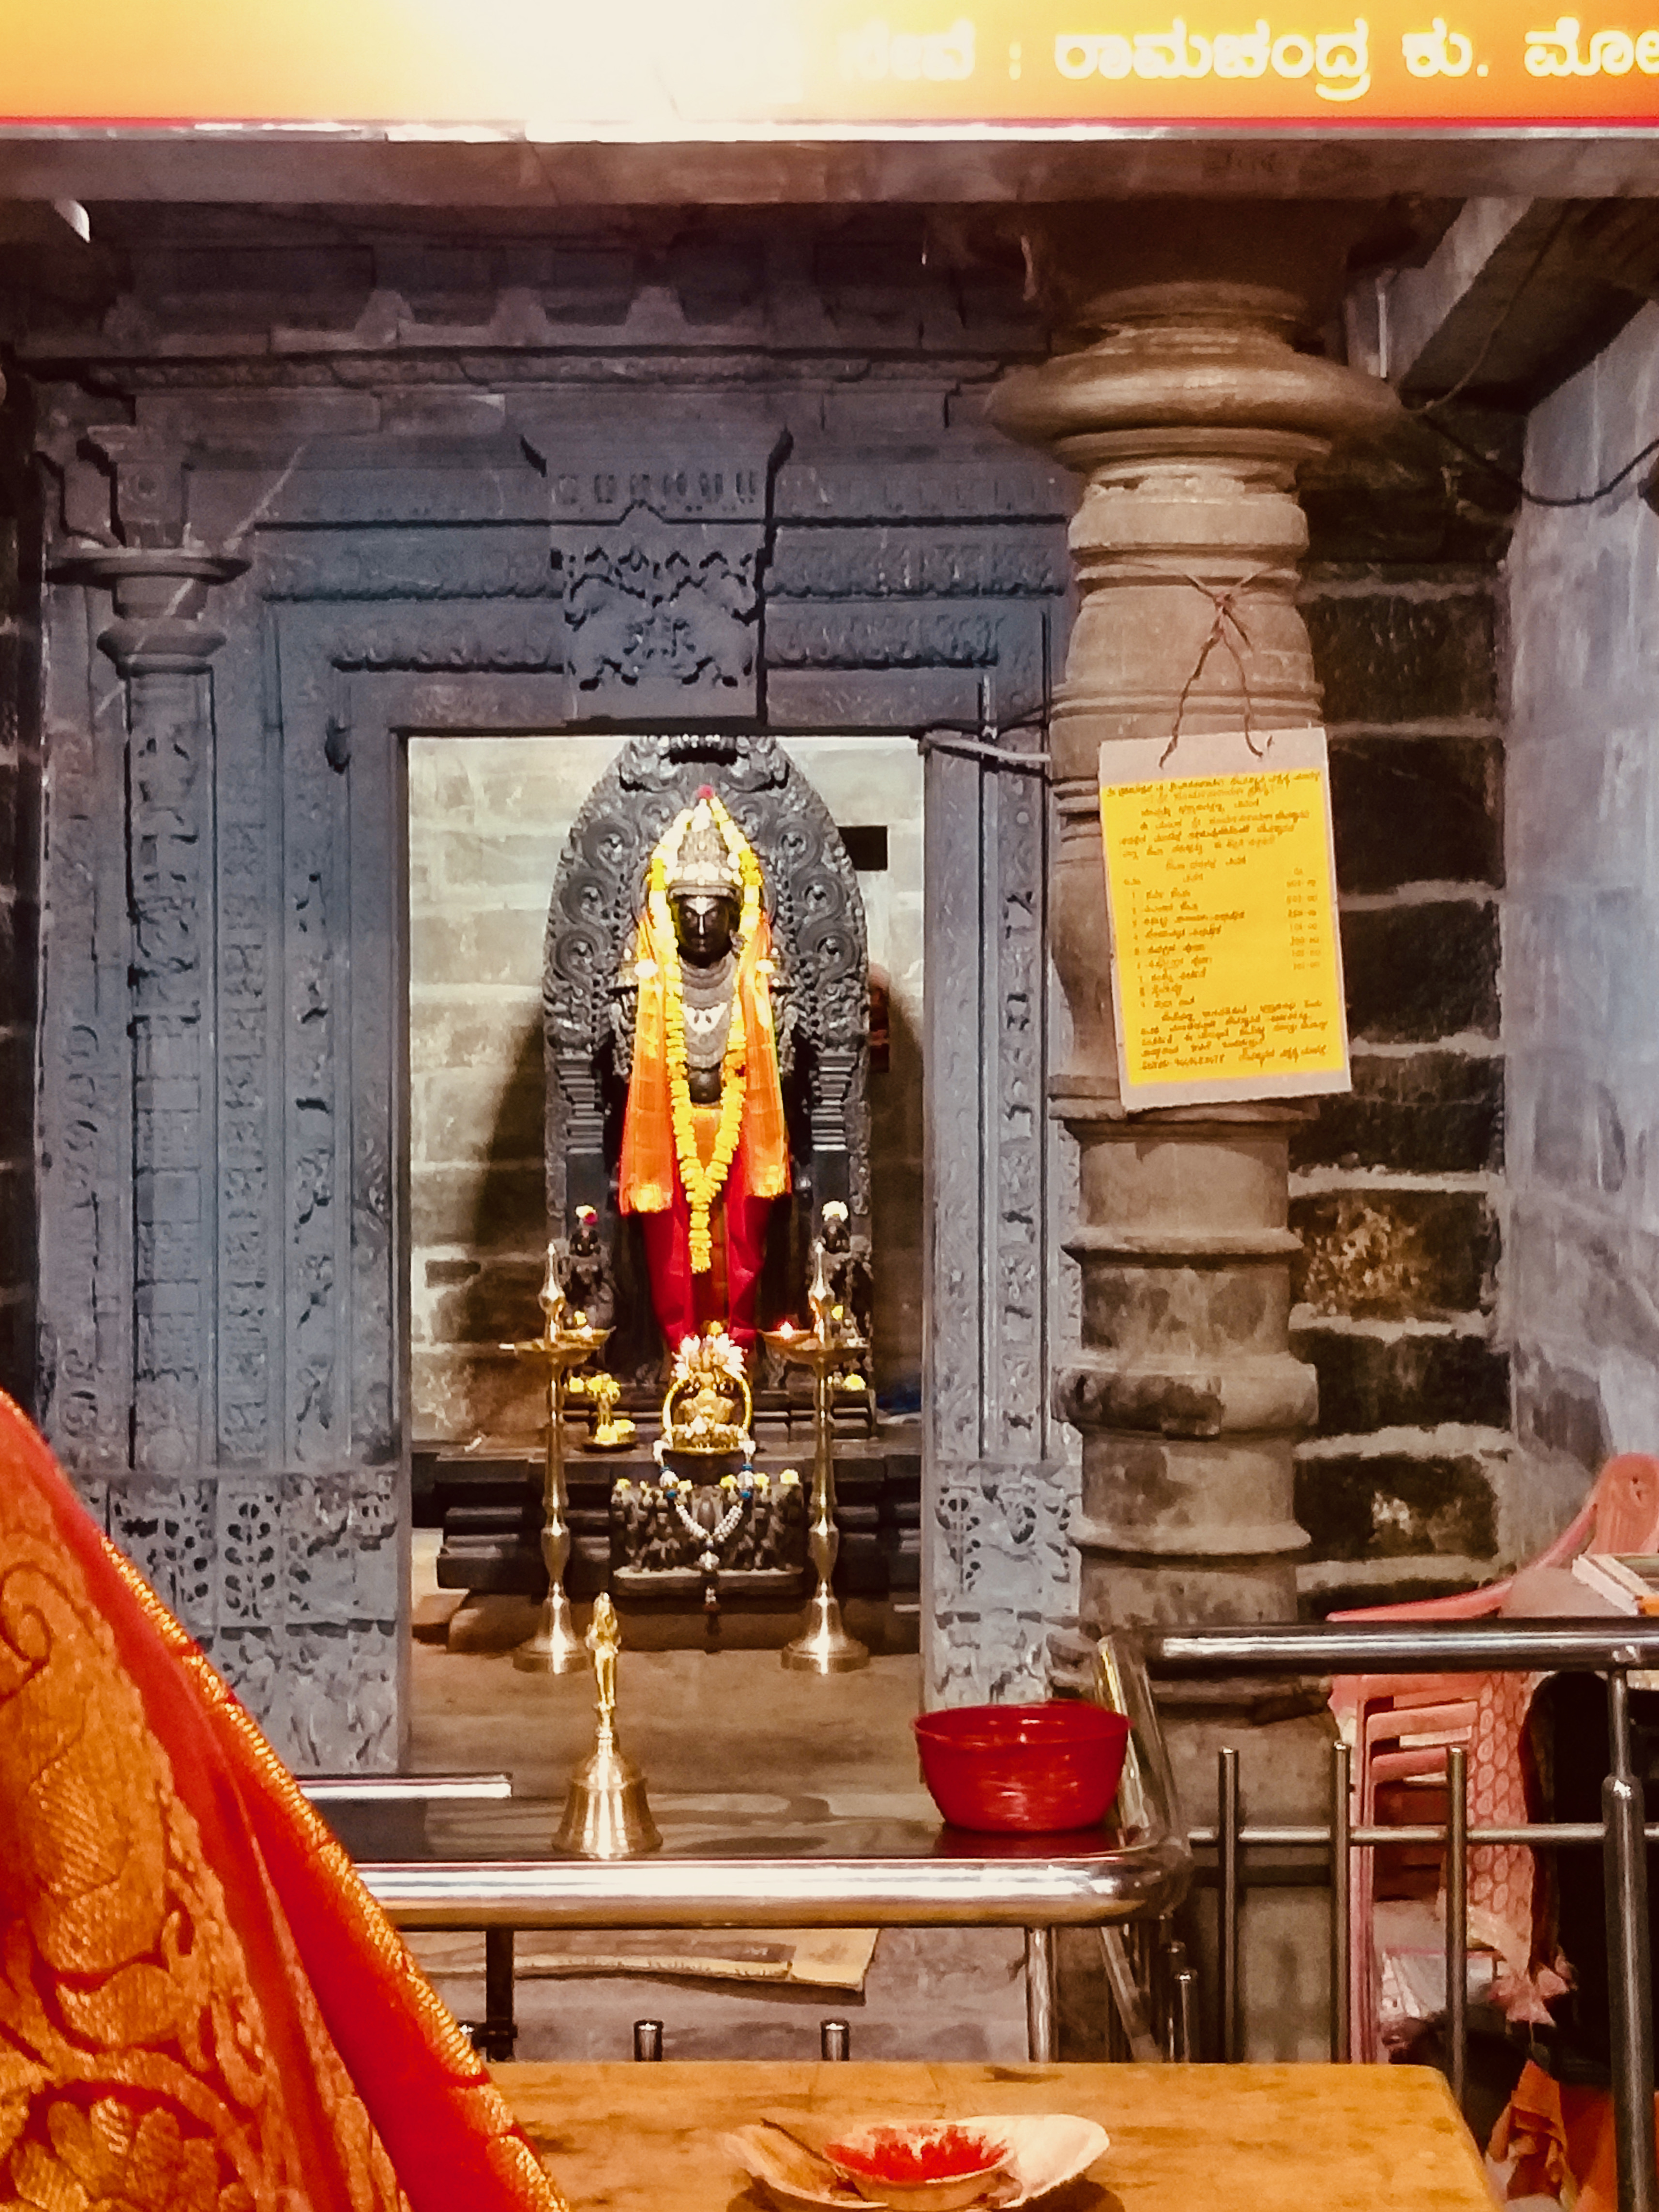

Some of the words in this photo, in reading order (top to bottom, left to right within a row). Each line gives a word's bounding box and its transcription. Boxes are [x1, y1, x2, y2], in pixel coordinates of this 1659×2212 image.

[1041, 4, 1378, 105] ರಾಮಚಂದ್ರ
[1391, 10, 1493, 87] ಕು.
[1515, 7, 1657, 85] ಮೋ